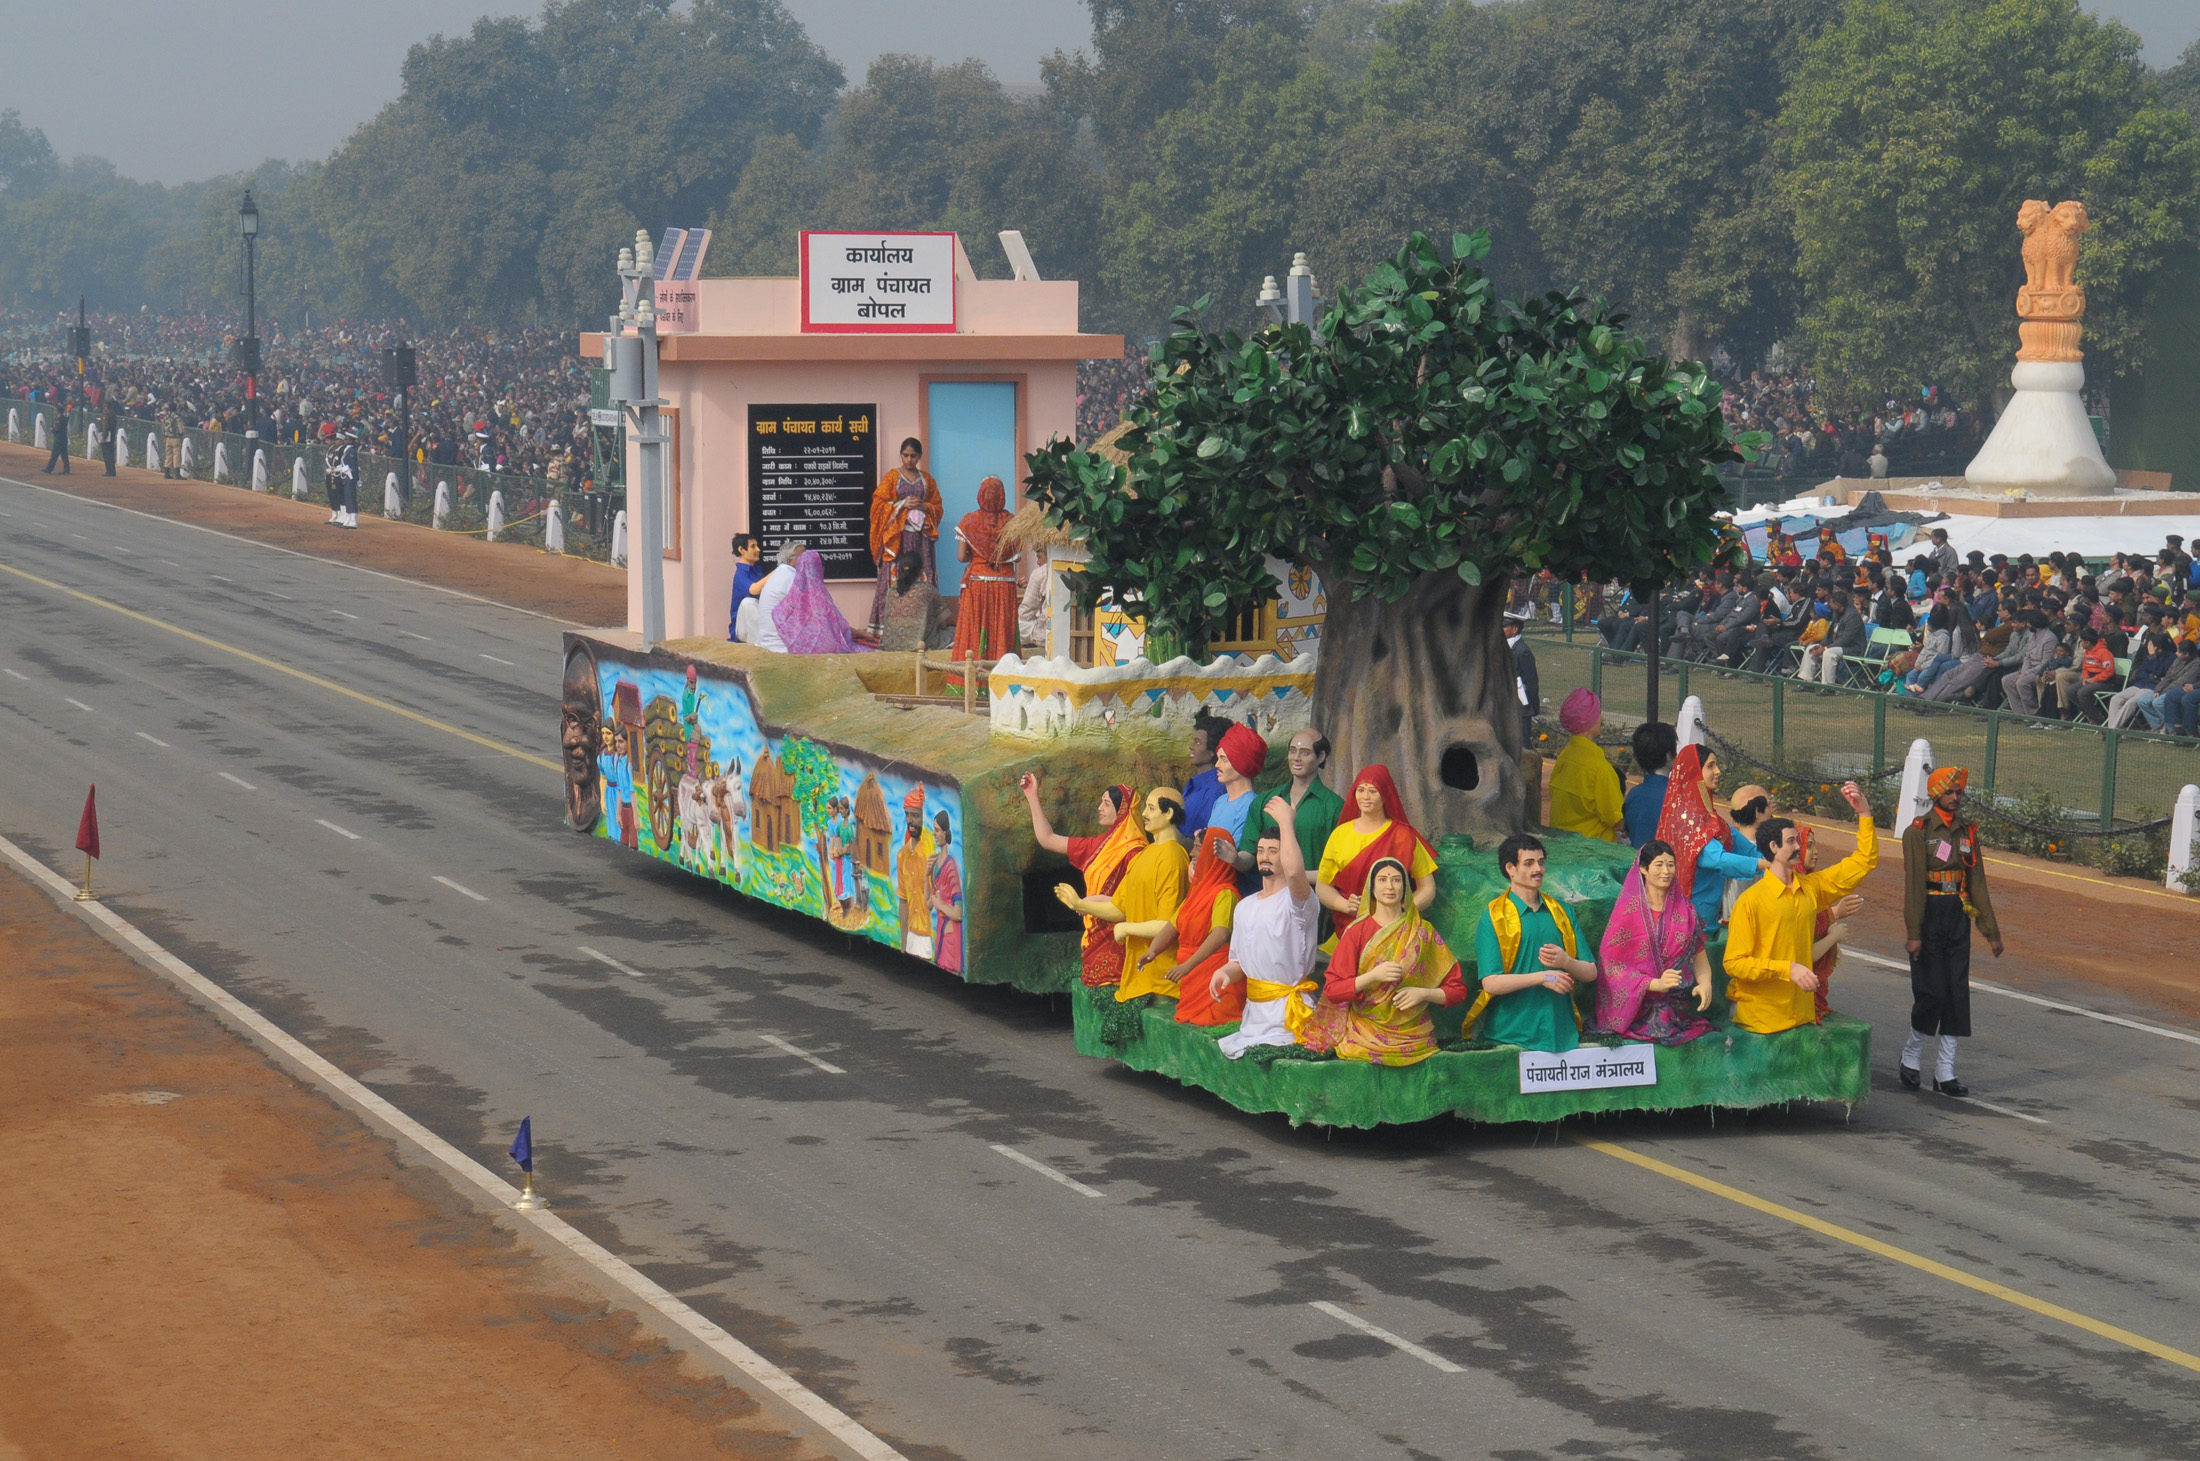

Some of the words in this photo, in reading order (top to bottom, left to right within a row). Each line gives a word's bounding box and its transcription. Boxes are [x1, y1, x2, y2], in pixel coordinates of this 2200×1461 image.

[838, 234, 919, 266] कार्यालय
[825, 270, 868, 296] ग्राम
[872, 270, 935, 298] पंचायत
[666, 301, 689, 327] के लिए
[853, 291, 910, 322] बोपल
[751, 417, 779, 440] ग्राम
[776, 408, 819, 439] पंचायत
[817, 409, 847, 437] कार्य
[843, 407, 873, 445] सूची
[756, 455, 779, 475] जारी
[759, 441, 780, 461] तिथि
[773, 460, 795, 475] काग
[1518, 1056, 1572, 1088] पंचायती
[1565, 1061, 1594, 1085] राज
[1589, 1051, 1646, 1085] मंत्रालय